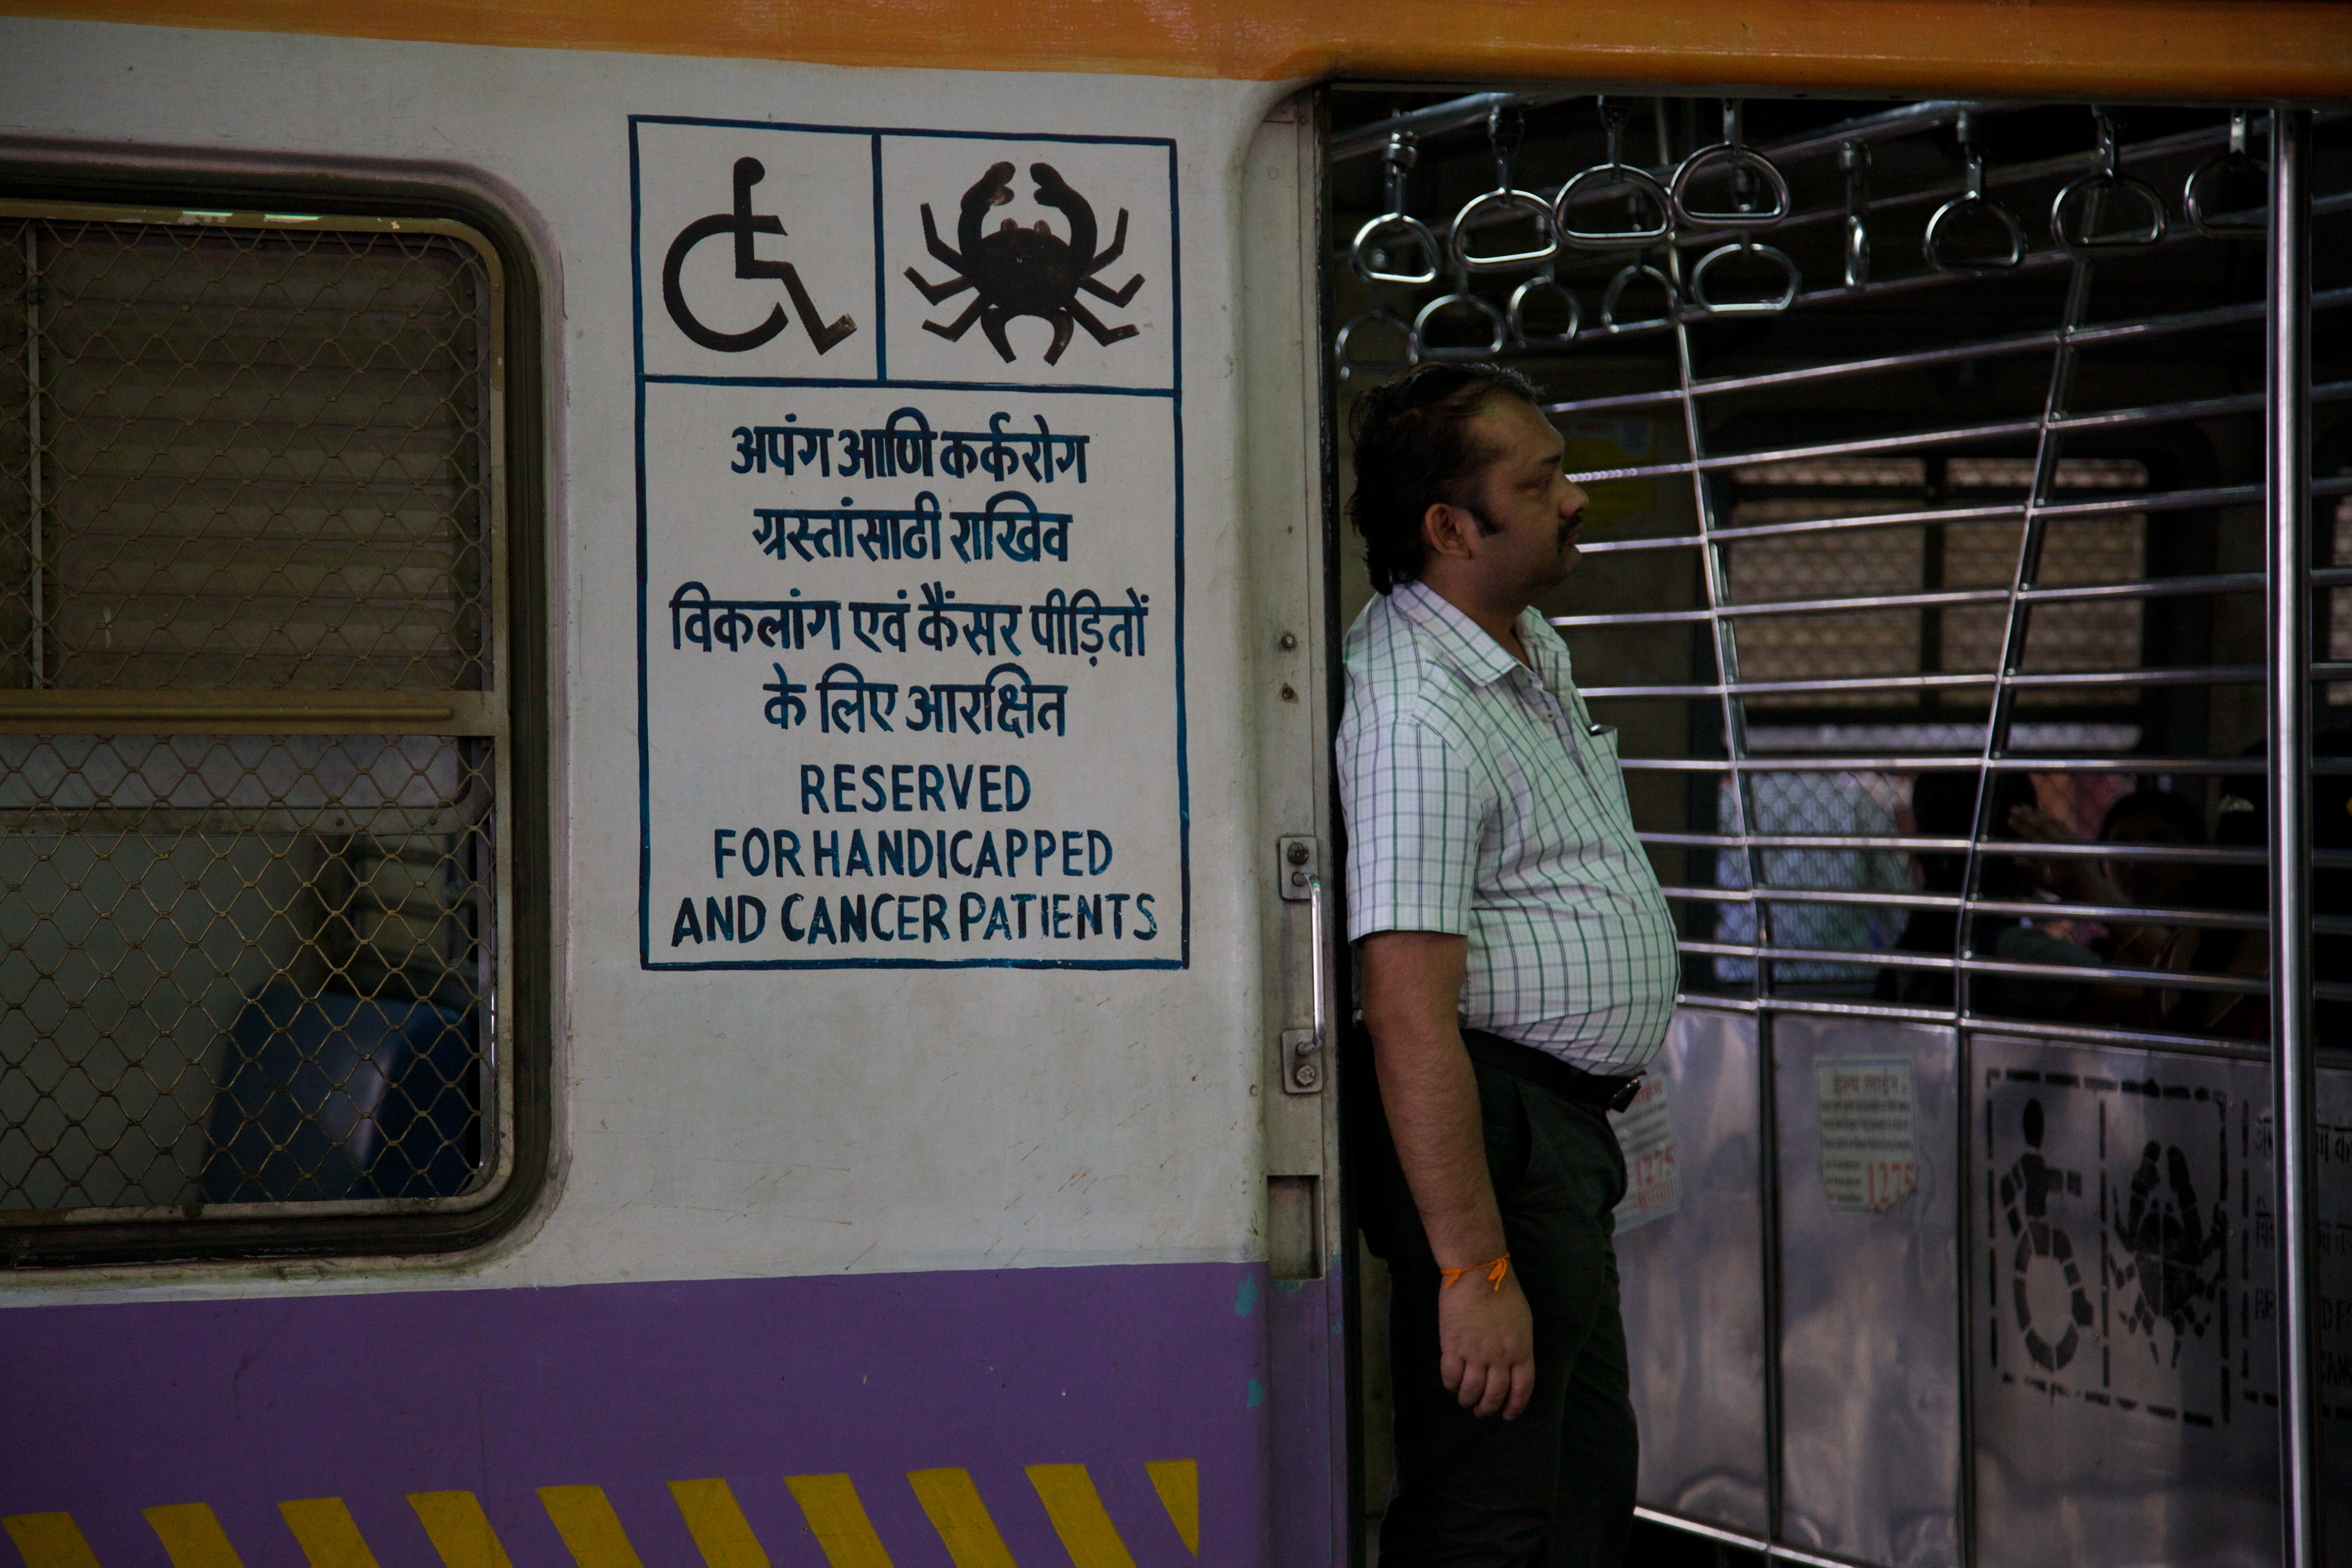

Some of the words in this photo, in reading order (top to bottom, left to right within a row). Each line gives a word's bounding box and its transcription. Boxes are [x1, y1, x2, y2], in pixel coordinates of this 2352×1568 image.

[718, 409, 836, 484] अपंग
[832, 405, 936, 486] आणि
[937, 403, 1094, 485] कर्करोग
[746, 487, 946, 565] ग्रस्तांसाठी
[943, 486, 1078, 570] राखिव
[666, 584, 842, 656] विकलांग
[844, 577, 915, 660] एवं
[911, 575, 1024, 658] कैंसर
[1019, 575, 1161, 669] पीड़ितों
[754, 665, 808, 733] क‍े
[806, 660, 901, 743] लिए
[907, 667, 1069, 739] आरक्षित
[794, 761, 1033, 818] RESERVED
[709, 825, 808, 883] FOR
[805, 823, 1122, 879] HANDICAPPED
[668, 890, 764, 952] AND
[776, 888, 957, 952] CANCER
[957, 888, 1167, 946] PATIENTS